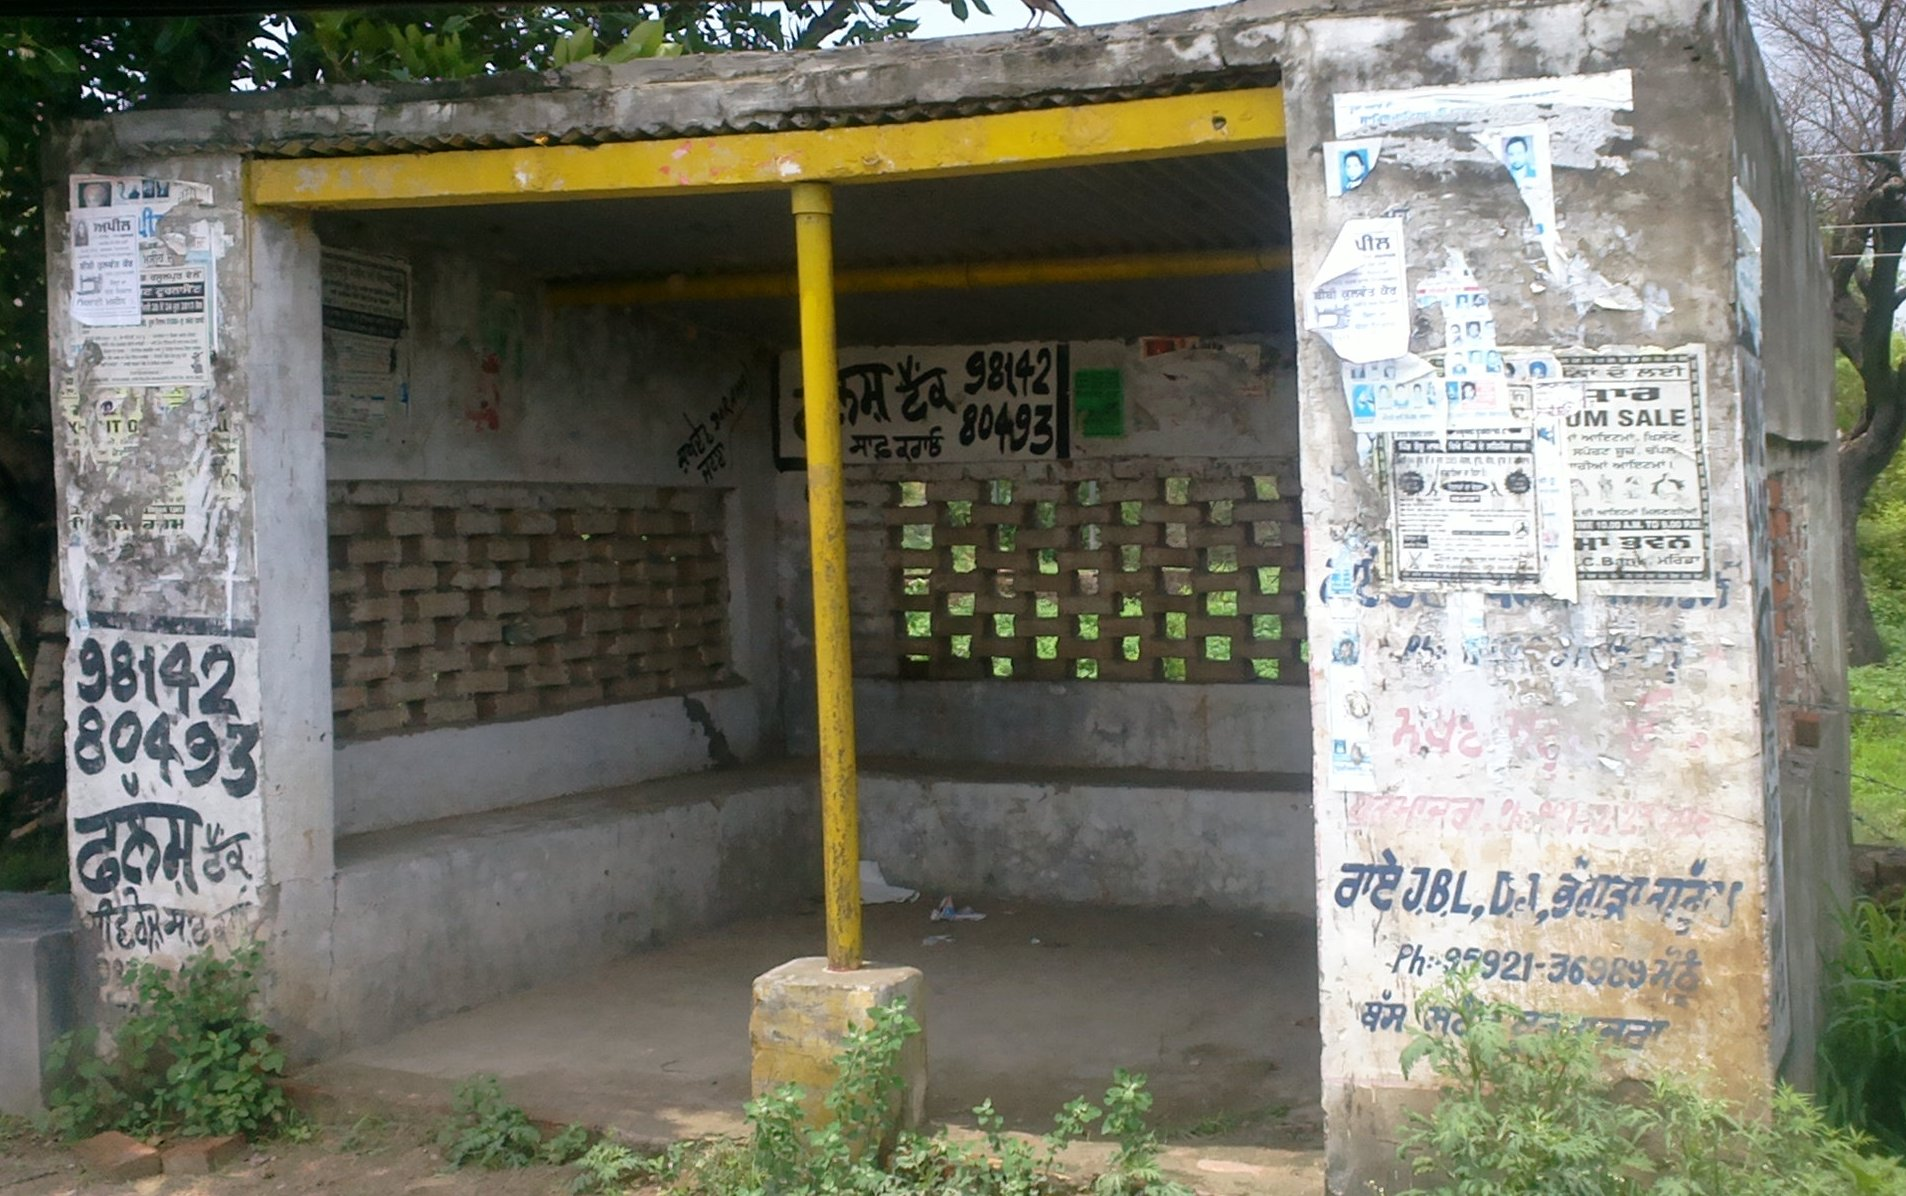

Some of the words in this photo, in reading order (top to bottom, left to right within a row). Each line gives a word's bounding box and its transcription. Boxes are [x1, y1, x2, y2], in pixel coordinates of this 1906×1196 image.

[843, 429, 895, 463] ਸਾਫ਼
[888, 417, 946, 462] ਕਰਾਓ
[889, 348, 961, 427] ਟੈਂਕ
[956, 397, 1059, 457] 80493
[960, 343, 1059, 401] 98142
[1615, 405, 1695, 431] SALE
[1612, 531, 1697, 553] ਭਵਨ
[66, 630, 245, 720] 98142
[69, 704, 263, 806] 80493
[64, 765, 213, 900] ਫਨੱਸ
[195, 815, 261, 887] ਟੈਂਕ
[1324, 843, 1409, 921] ਰਾਏ
[1394, 854, 1479, 921] J.B.L
[1485, 864, 1547, 919] De1
[1387, 937, 1430, 984] Ph
[1440, 936, 1651, 997] 95921-36989
[1641, 936, 1711, 1017] ਮੋਨੂੰ
[1350, 982, 1414, 1037] ਥੱਸ